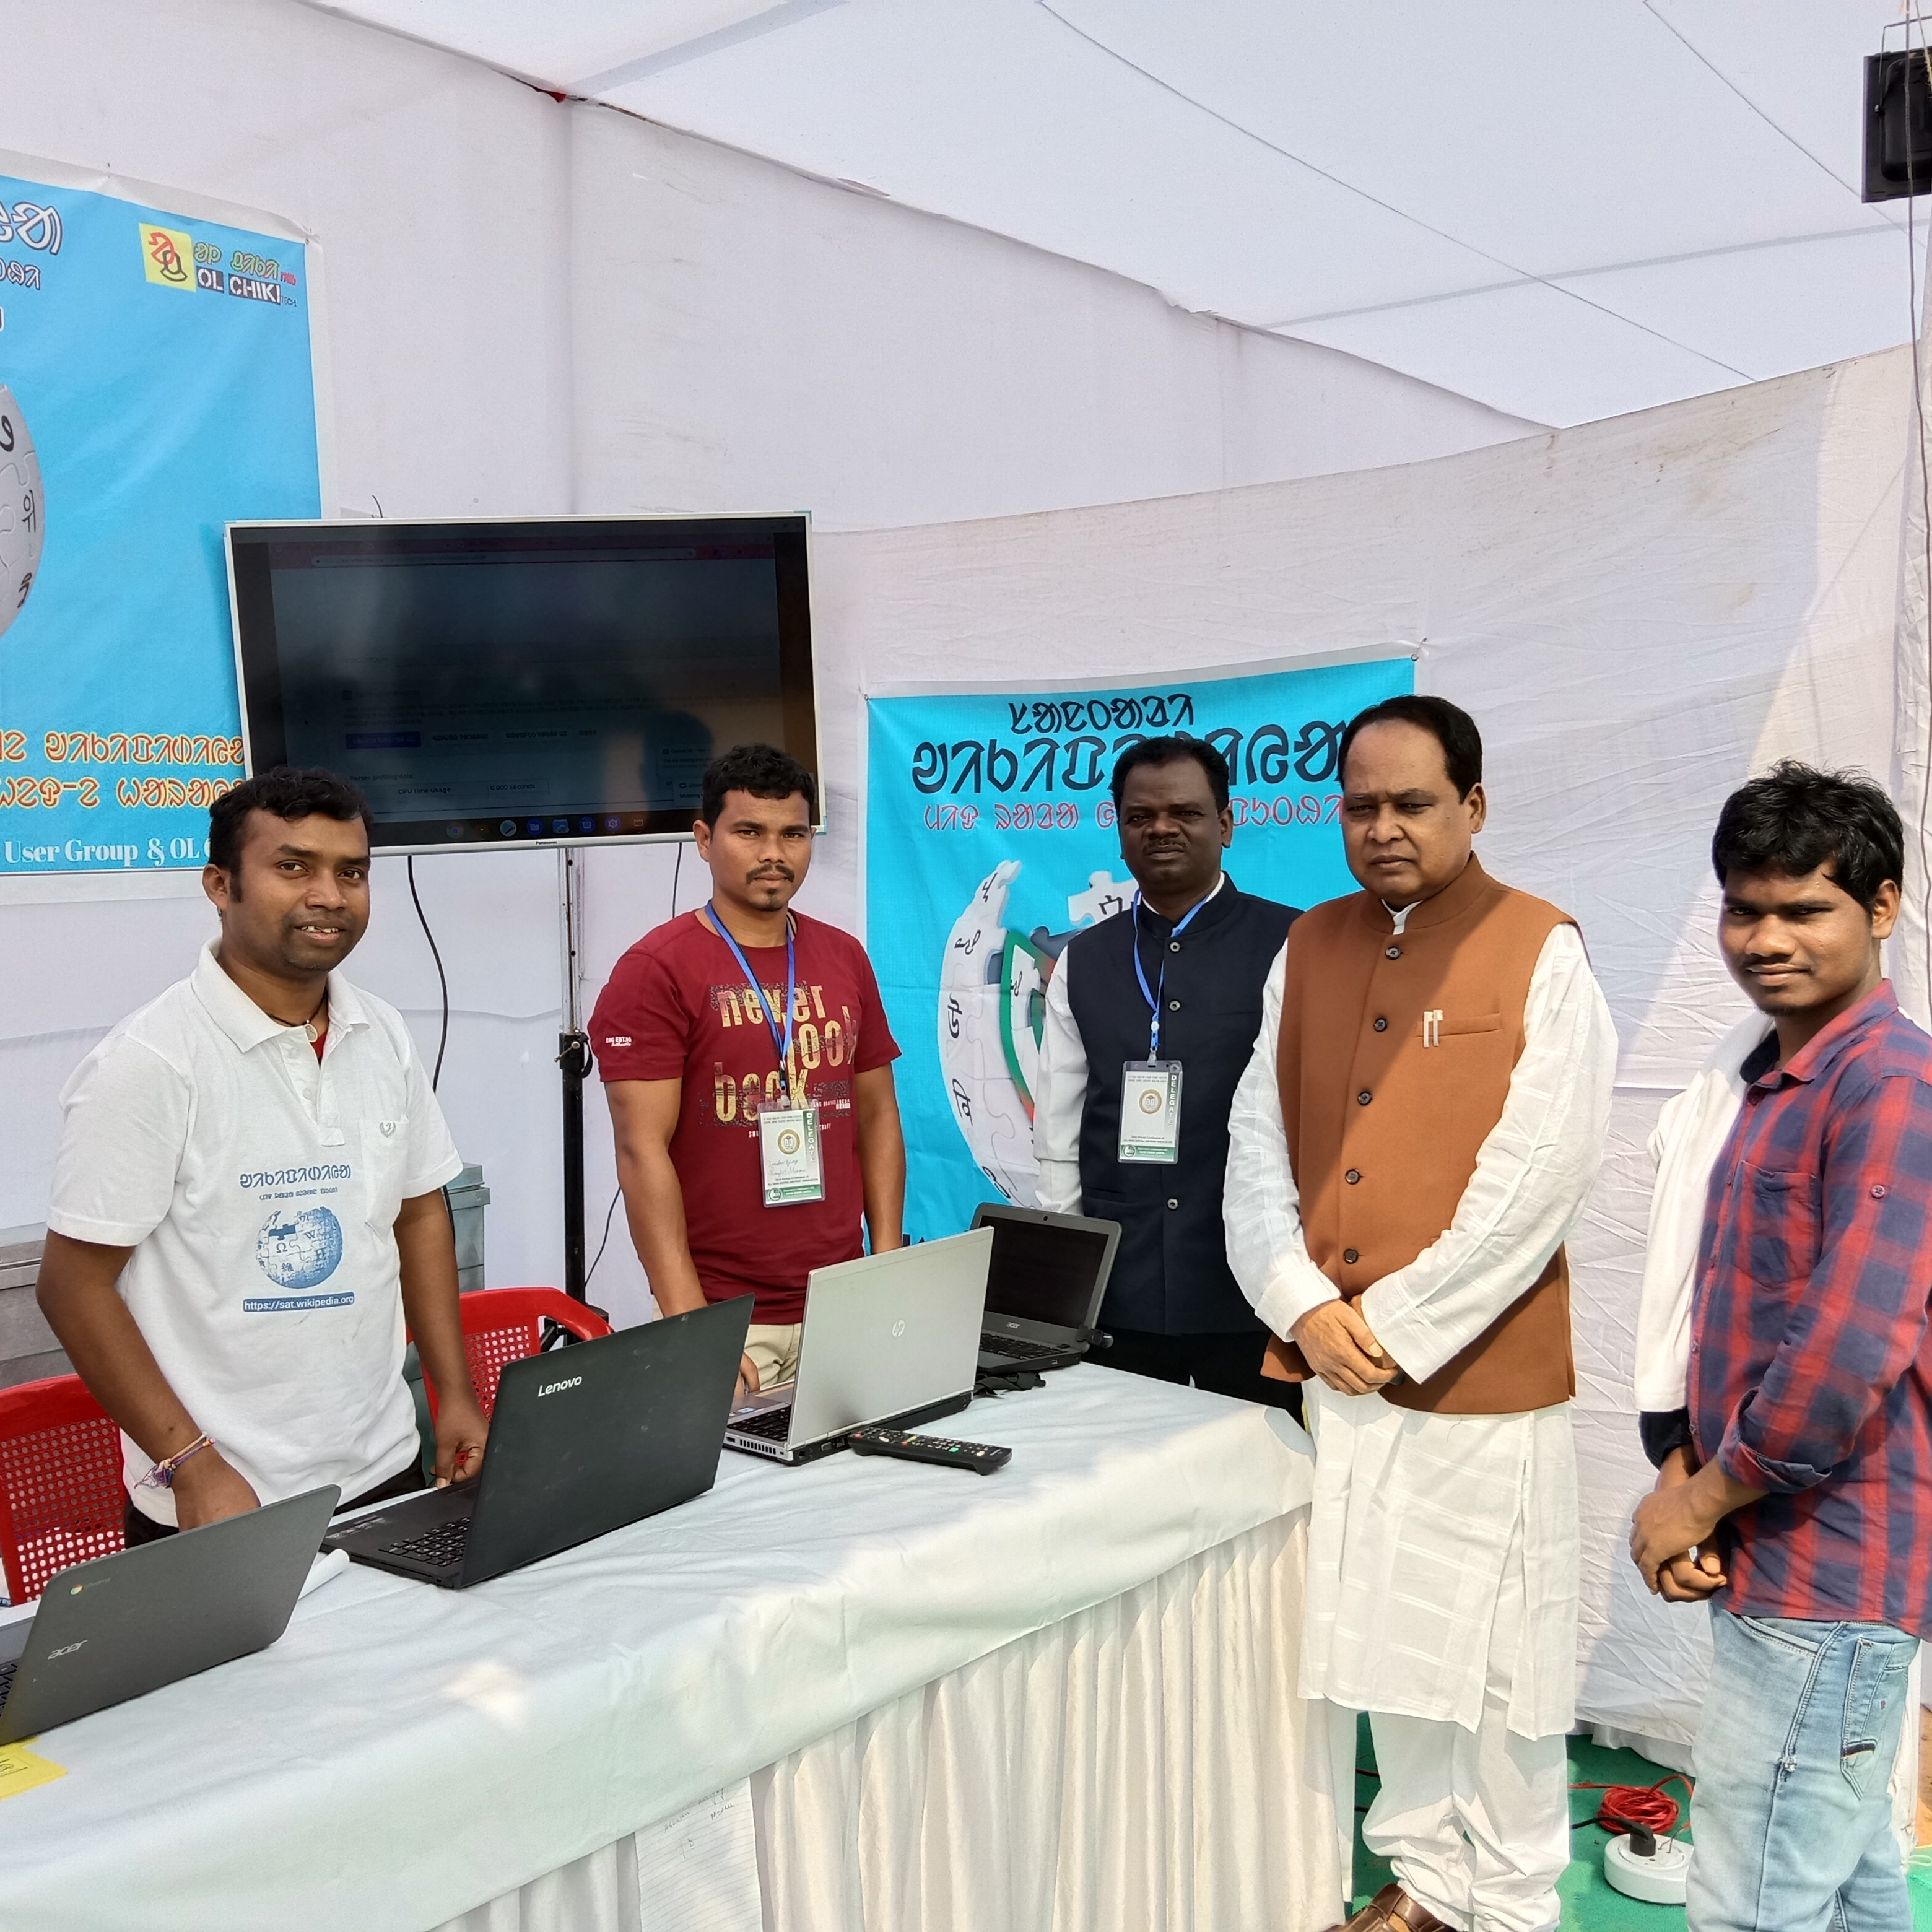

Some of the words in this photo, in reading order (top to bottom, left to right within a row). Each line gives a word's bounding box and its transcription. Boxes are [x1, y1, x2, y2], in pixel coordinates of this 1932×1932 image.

[195, 263, 227, 295] OL
[227, 273, 283, 305] CHIKI
[2, 838, 64, 866] User
[59, 835, 141, 871] Group
[141, 835, 169, 870] &
[168, 833, 206, 863] OL
[710, 978, 837, 1032] never
[713, 1058, 815, 1125] back
[241, 1292, 356, 1313] https://sat.wikipedia.org
[533, 1373, 584, 1400] Lenovo